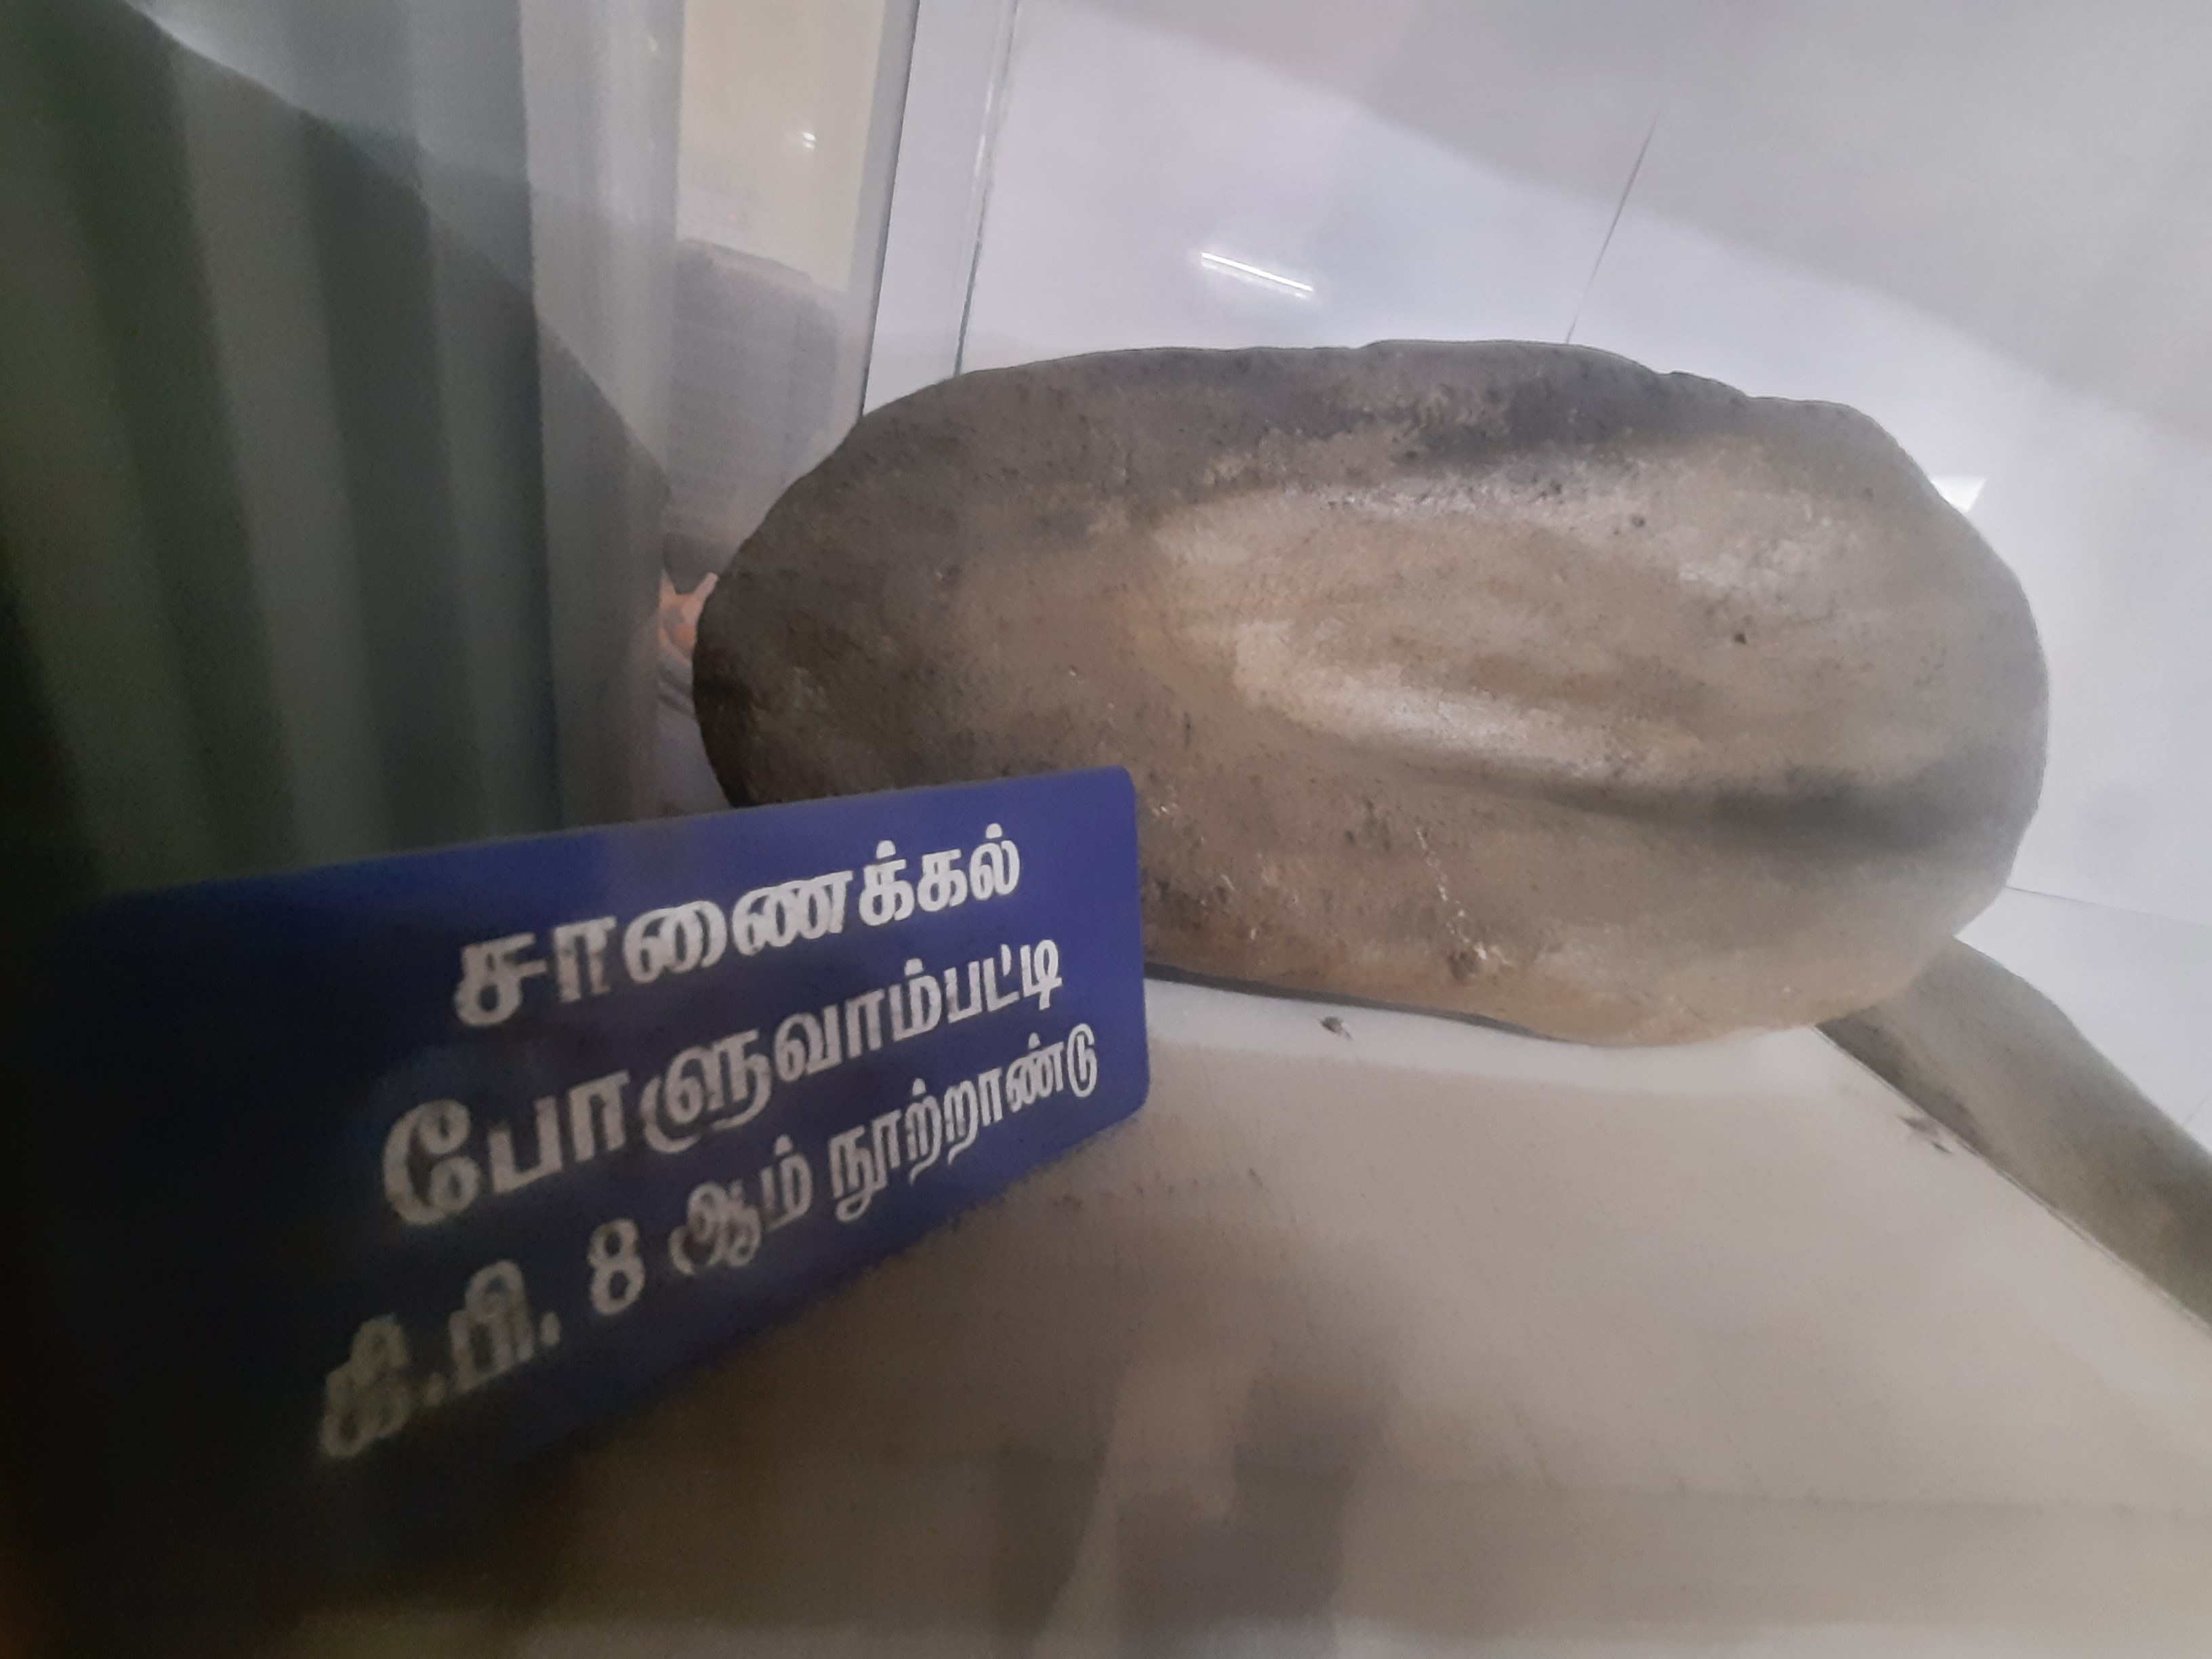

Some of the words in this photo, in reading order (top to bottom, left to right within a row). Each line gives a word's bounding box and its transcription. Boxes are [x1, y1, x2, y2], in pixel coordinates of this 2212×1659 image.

[450, 815, 1024, 1036] சாணைக்கல்
[312, 1244, 565, 1474] கி.பி.
[573, 1208, 654, 1329] 8
[377, 935, 1065, 1238] போளுவாம்பட்டி
[664, 1128, 819, 1288] ஆம்
[823, 1018, 1103, 1230] நூற்றரண்டு